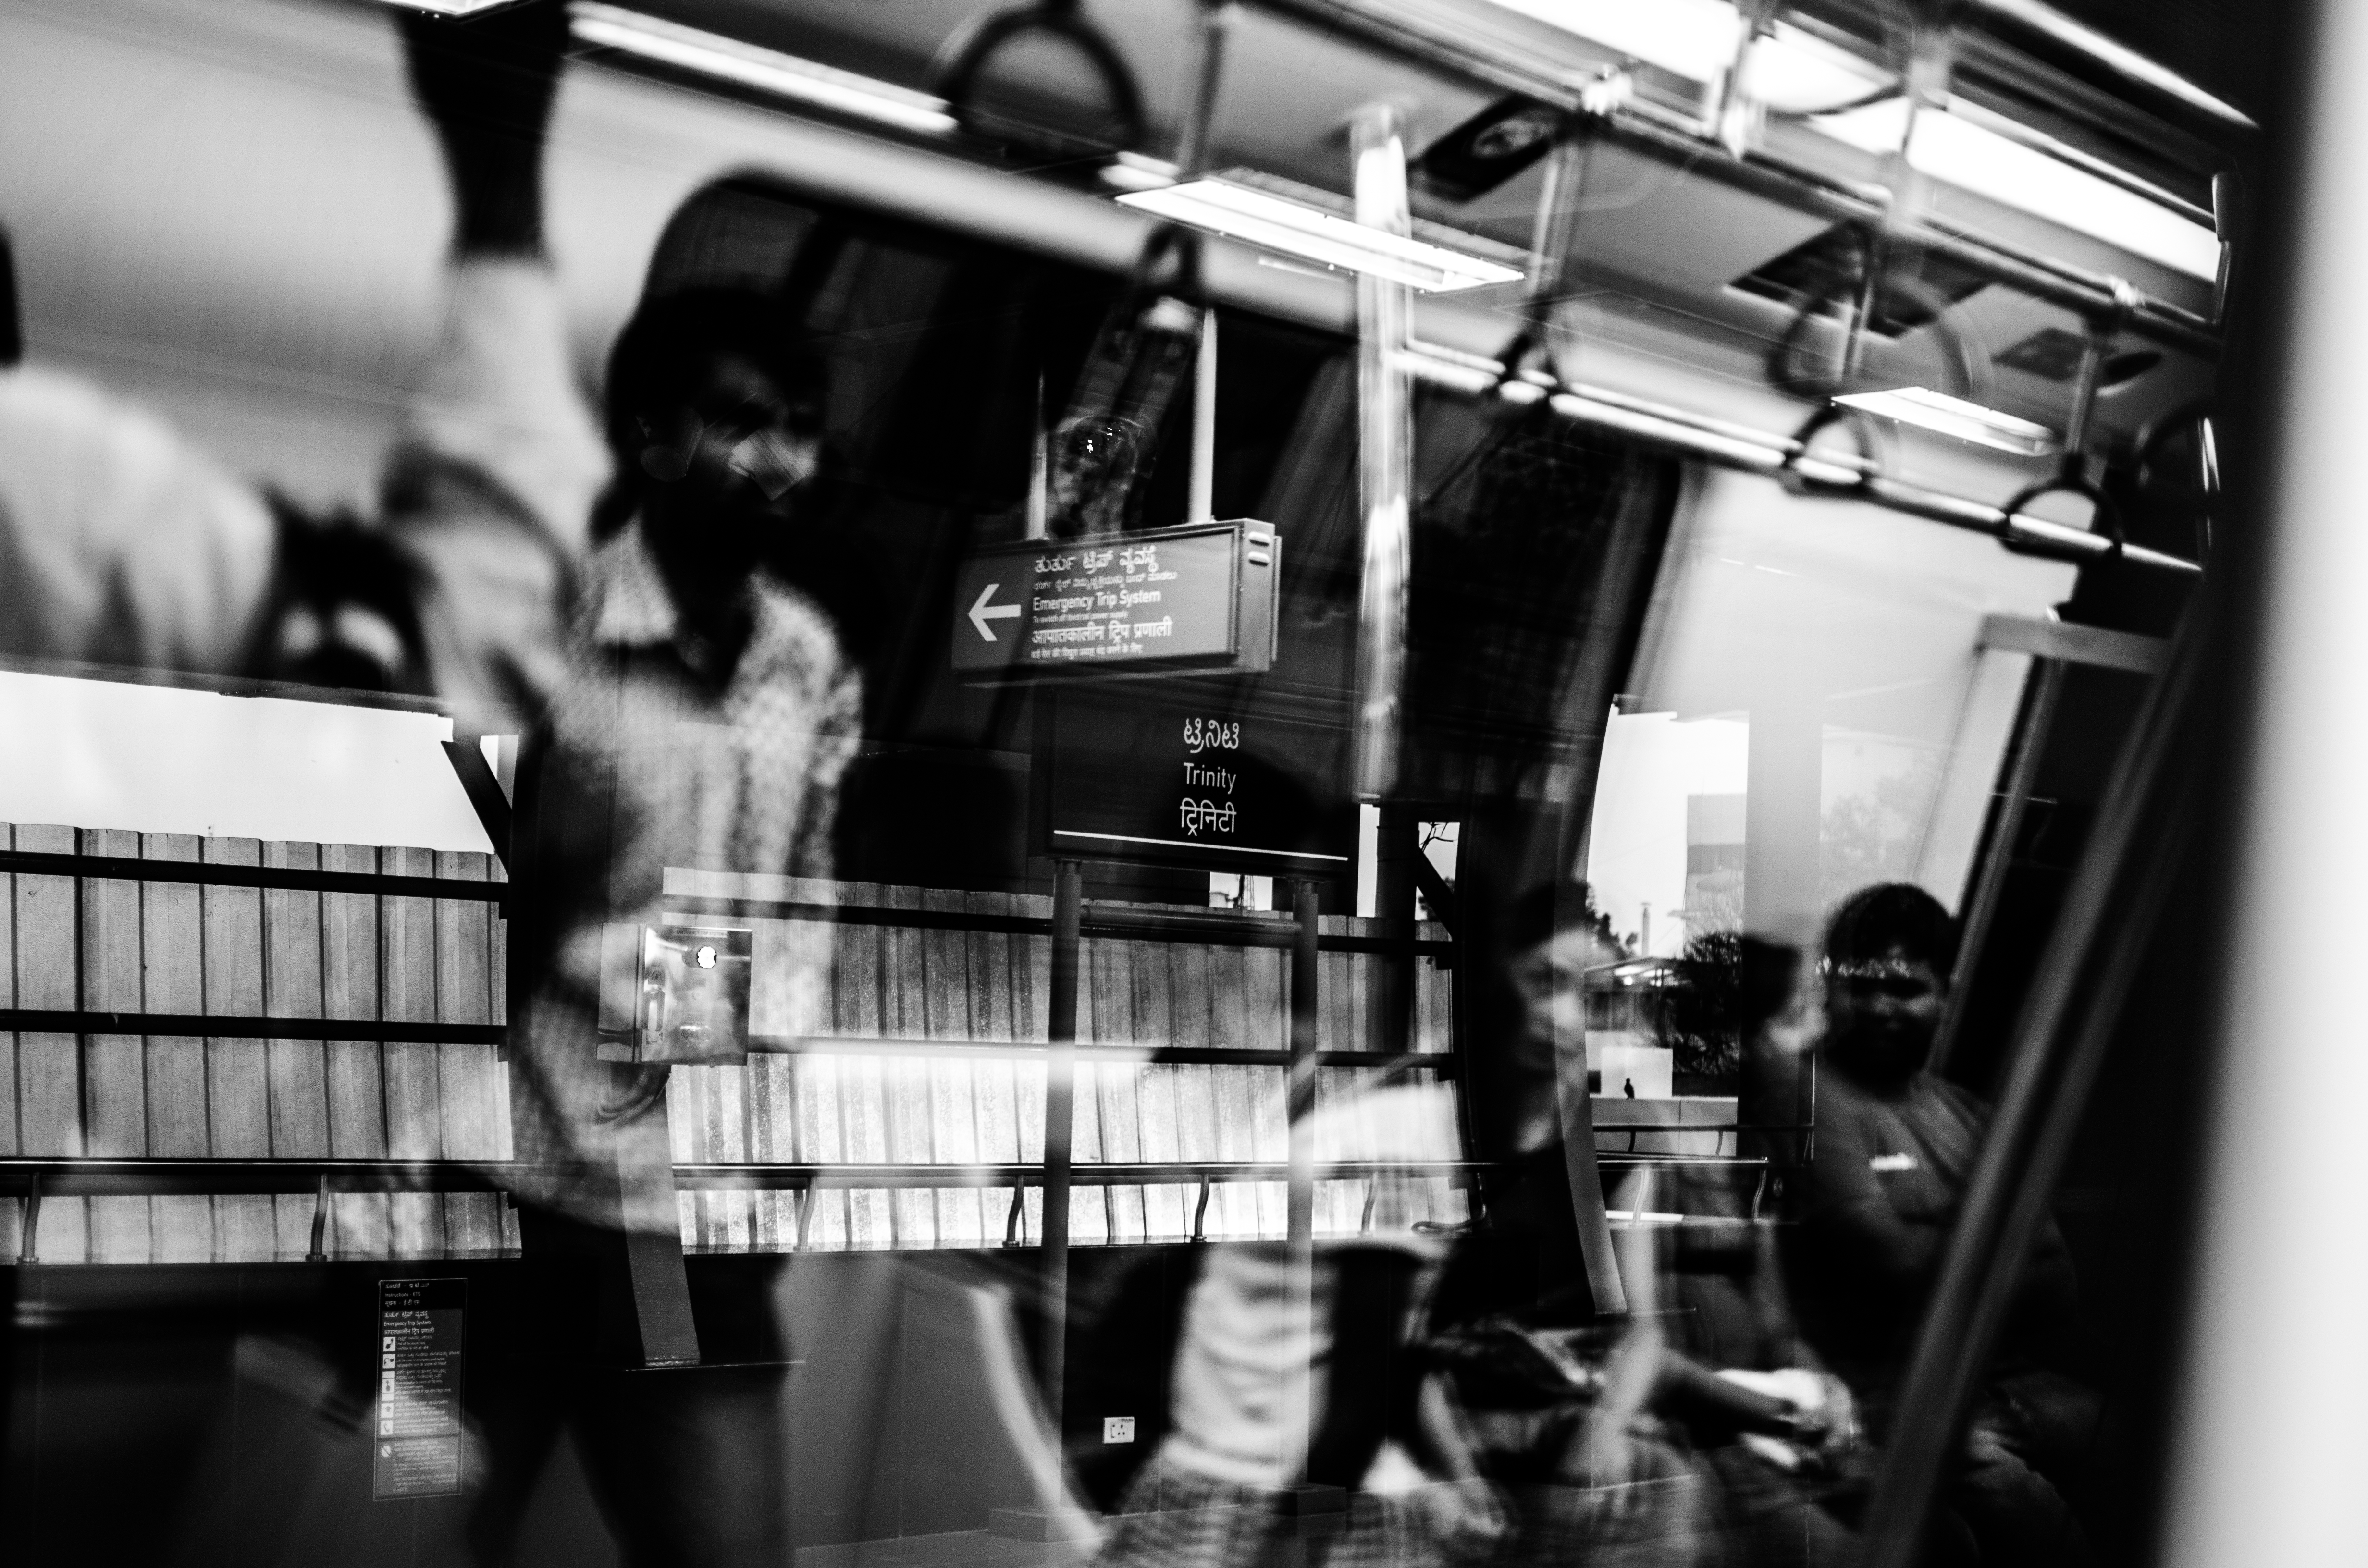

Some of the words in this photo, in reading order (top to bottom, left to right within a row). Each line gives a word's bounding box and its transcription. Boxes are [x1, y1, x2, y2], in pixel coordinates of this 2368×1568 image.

[1029, 550, 1078, 577] ತುರ್ತು
[1076, 547, 1117, 576] ಟ್ರಿಪ್
[1115, 542, 1160, 577] ವ್ಯವಸ್ಥ
[1122, 570, 1147, 586] ಬಂದ್
[1145, 566, 1180, 586] ಮಾಡಲು
[1032, 594, 1095, 614] Emergency
[1094, 588, 1120, 610] Trip
[1116, 586, 1164, 610] System
[1038, 613, 1061, 627] switch
[1056, 612, 1066, 625] of
[1027, 617, 1106, 649] आपातकालीन
[1105, 614, 1131, 646] ट्रिप
[1132, 612, 1175, 639] प्रणाली
[1103, 642, 1122, 658] करने
[1118, 638, 1132, 655] के
[1126, 638, 1144, 657] लिए
[1179, 715, 1243, 757] ಟ್ರಿನಿಟಿ
[1183, 760, 1239, 797] Trinity
[1176, 792, 1238, 839] ट्रिनिटी
[382, 1298, 399, 1311] सूचना
[381, 1289, 412, 1299] Instructions
[400, 1295, 423, 1310] ई टी एस
[411, 1289, 423, 1300] ETS
[381, 1320, 409, 1330] Emergency
[381, 1323, 413, 1337] आपातकालीन
[404, 1318, 418, 1328] Trip
[409, 1324, 422, 1337] ट्रिप
[415, 1318, 435, 1329] System
[419, 1322, 439, 1338] प्रणाली